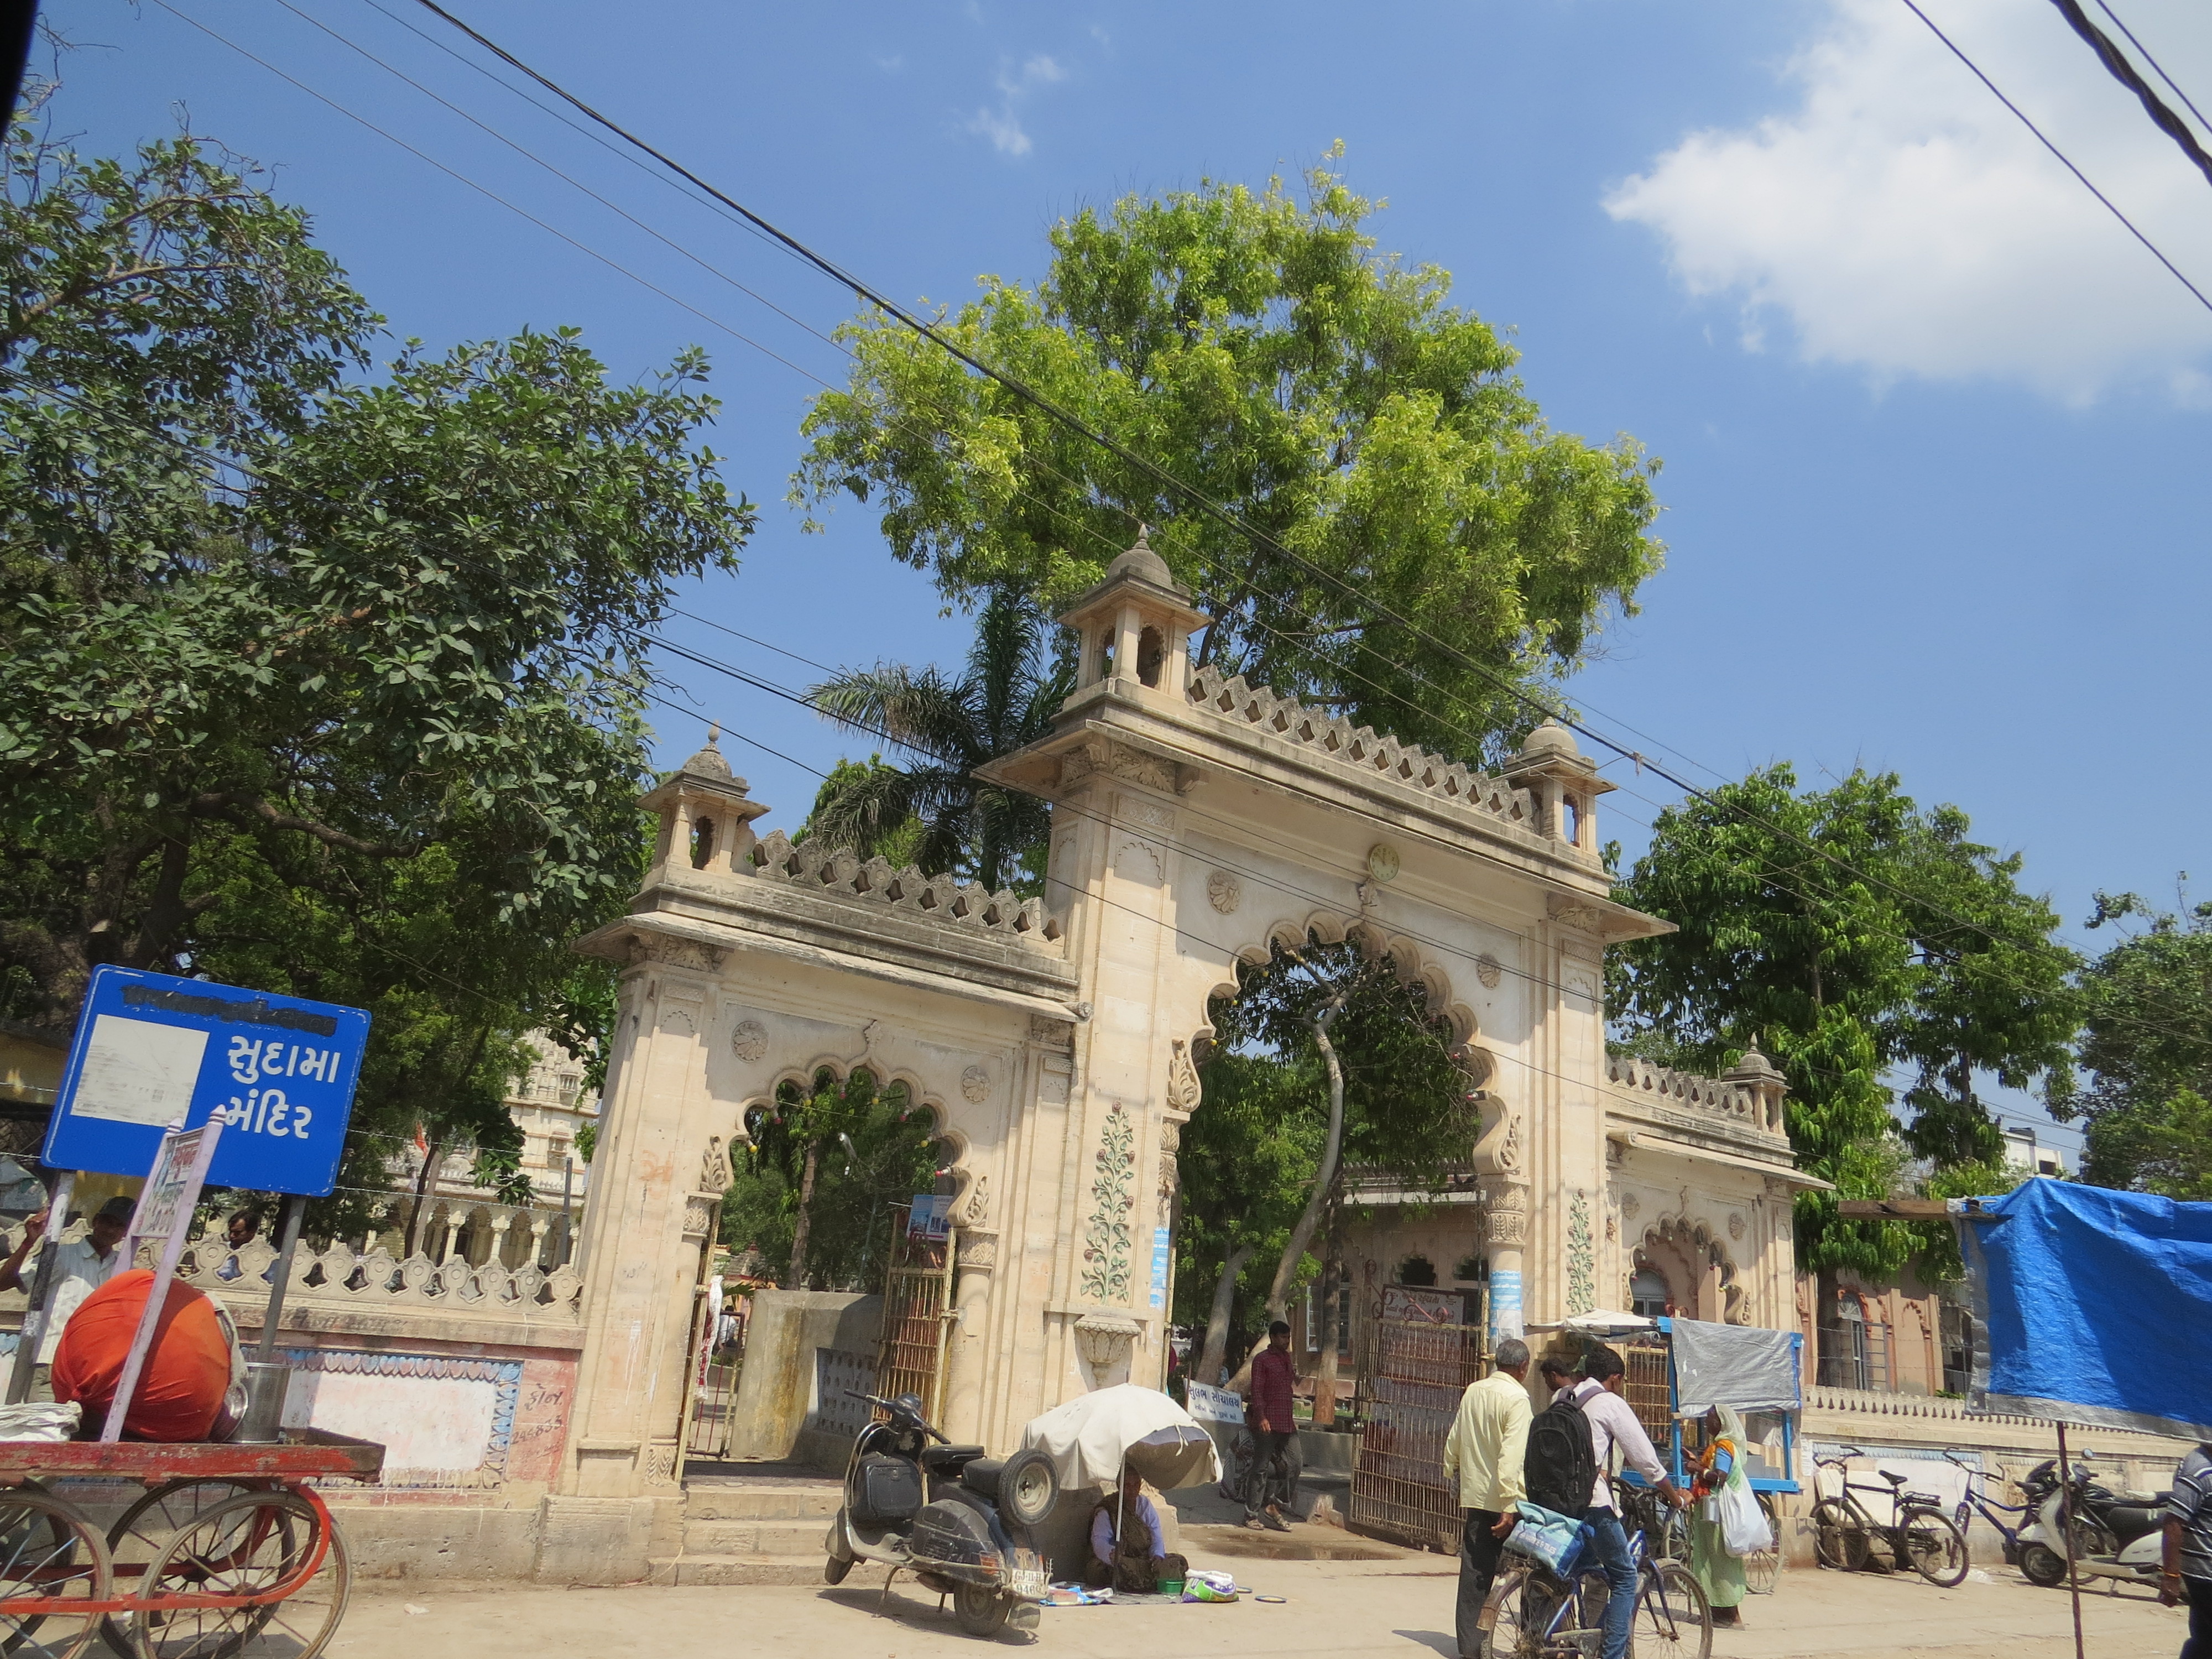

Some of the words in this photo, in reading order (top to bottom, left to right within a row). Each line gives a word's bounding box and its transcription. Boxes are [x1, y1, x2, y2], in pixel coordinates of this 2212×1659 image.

[220, 1031, 345, 1087] સુદામા
[219, 1083, 325, 1148] મંદિર